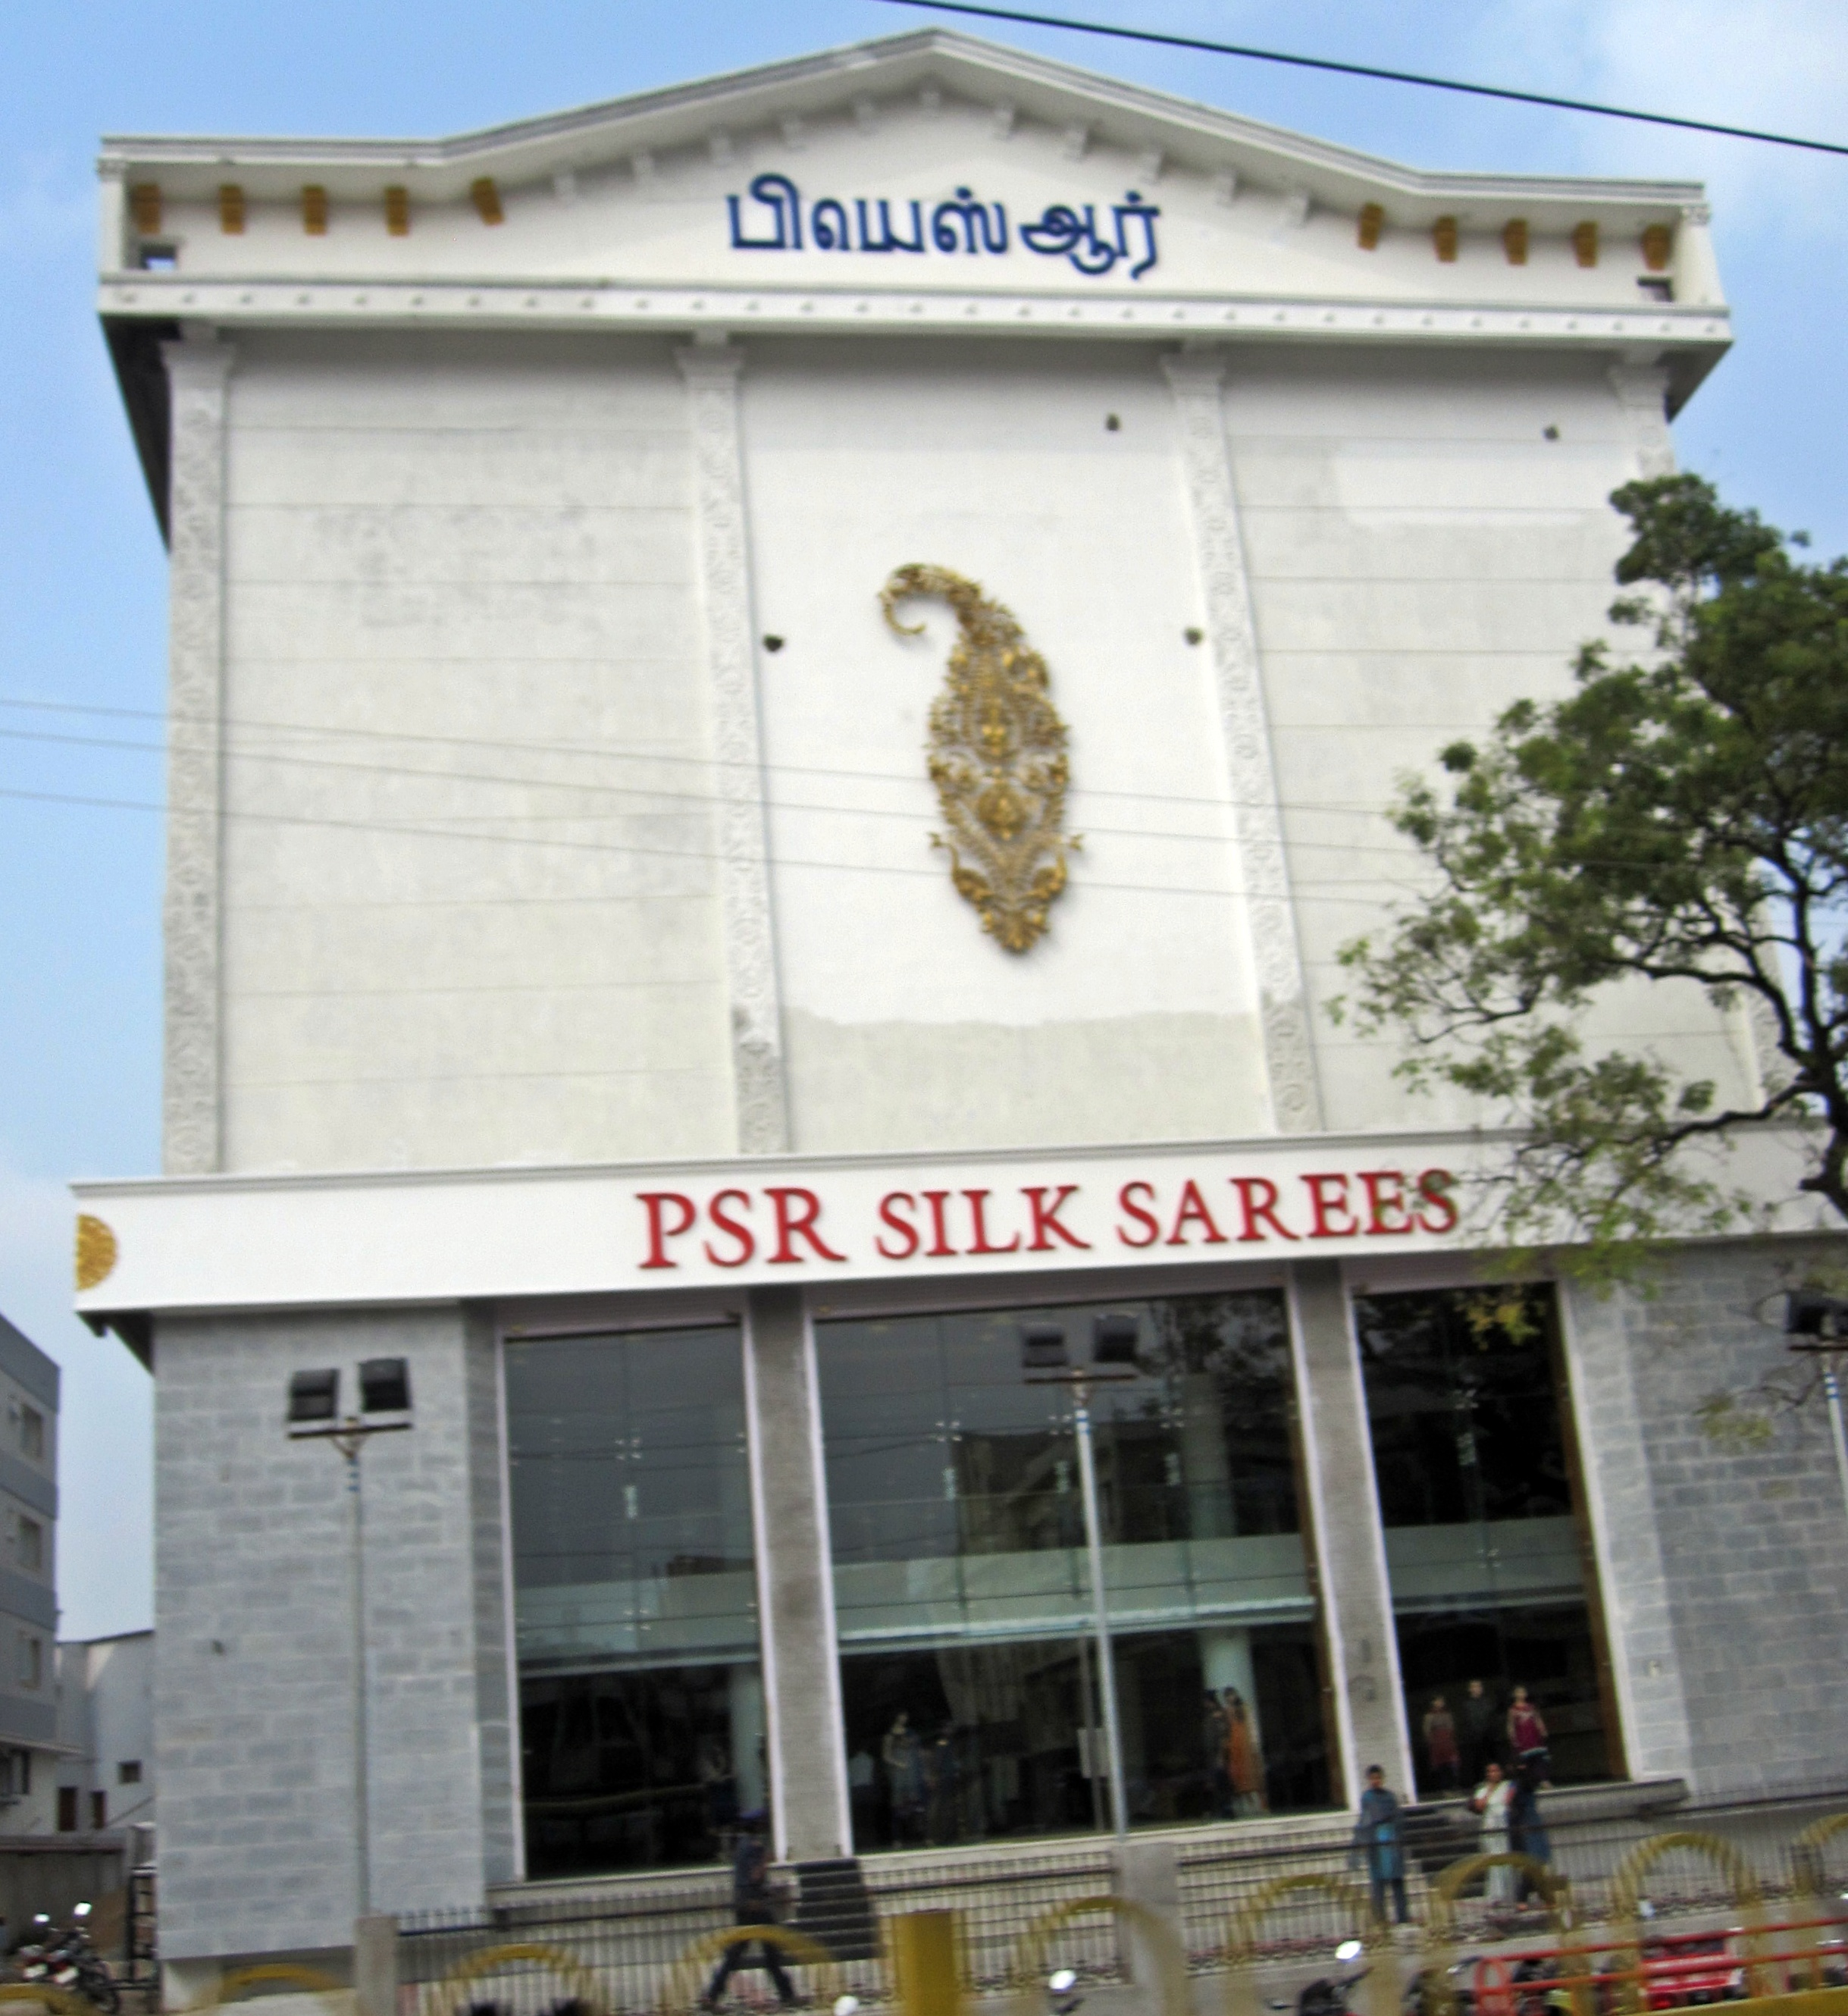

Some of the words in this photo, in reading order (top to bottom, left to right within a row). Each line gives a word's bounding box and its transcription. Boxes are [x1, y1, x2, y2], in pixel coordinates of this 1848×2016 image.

[719, 161, 1011, 264] பிவபஸ்
[1005, 188, 1172, 290] ஆர்
[625, 1175, 844, 1282] PSR
[876, 1180, 1101, 1266] SILK
[1114, 1163, 1466, 1259] SAREES